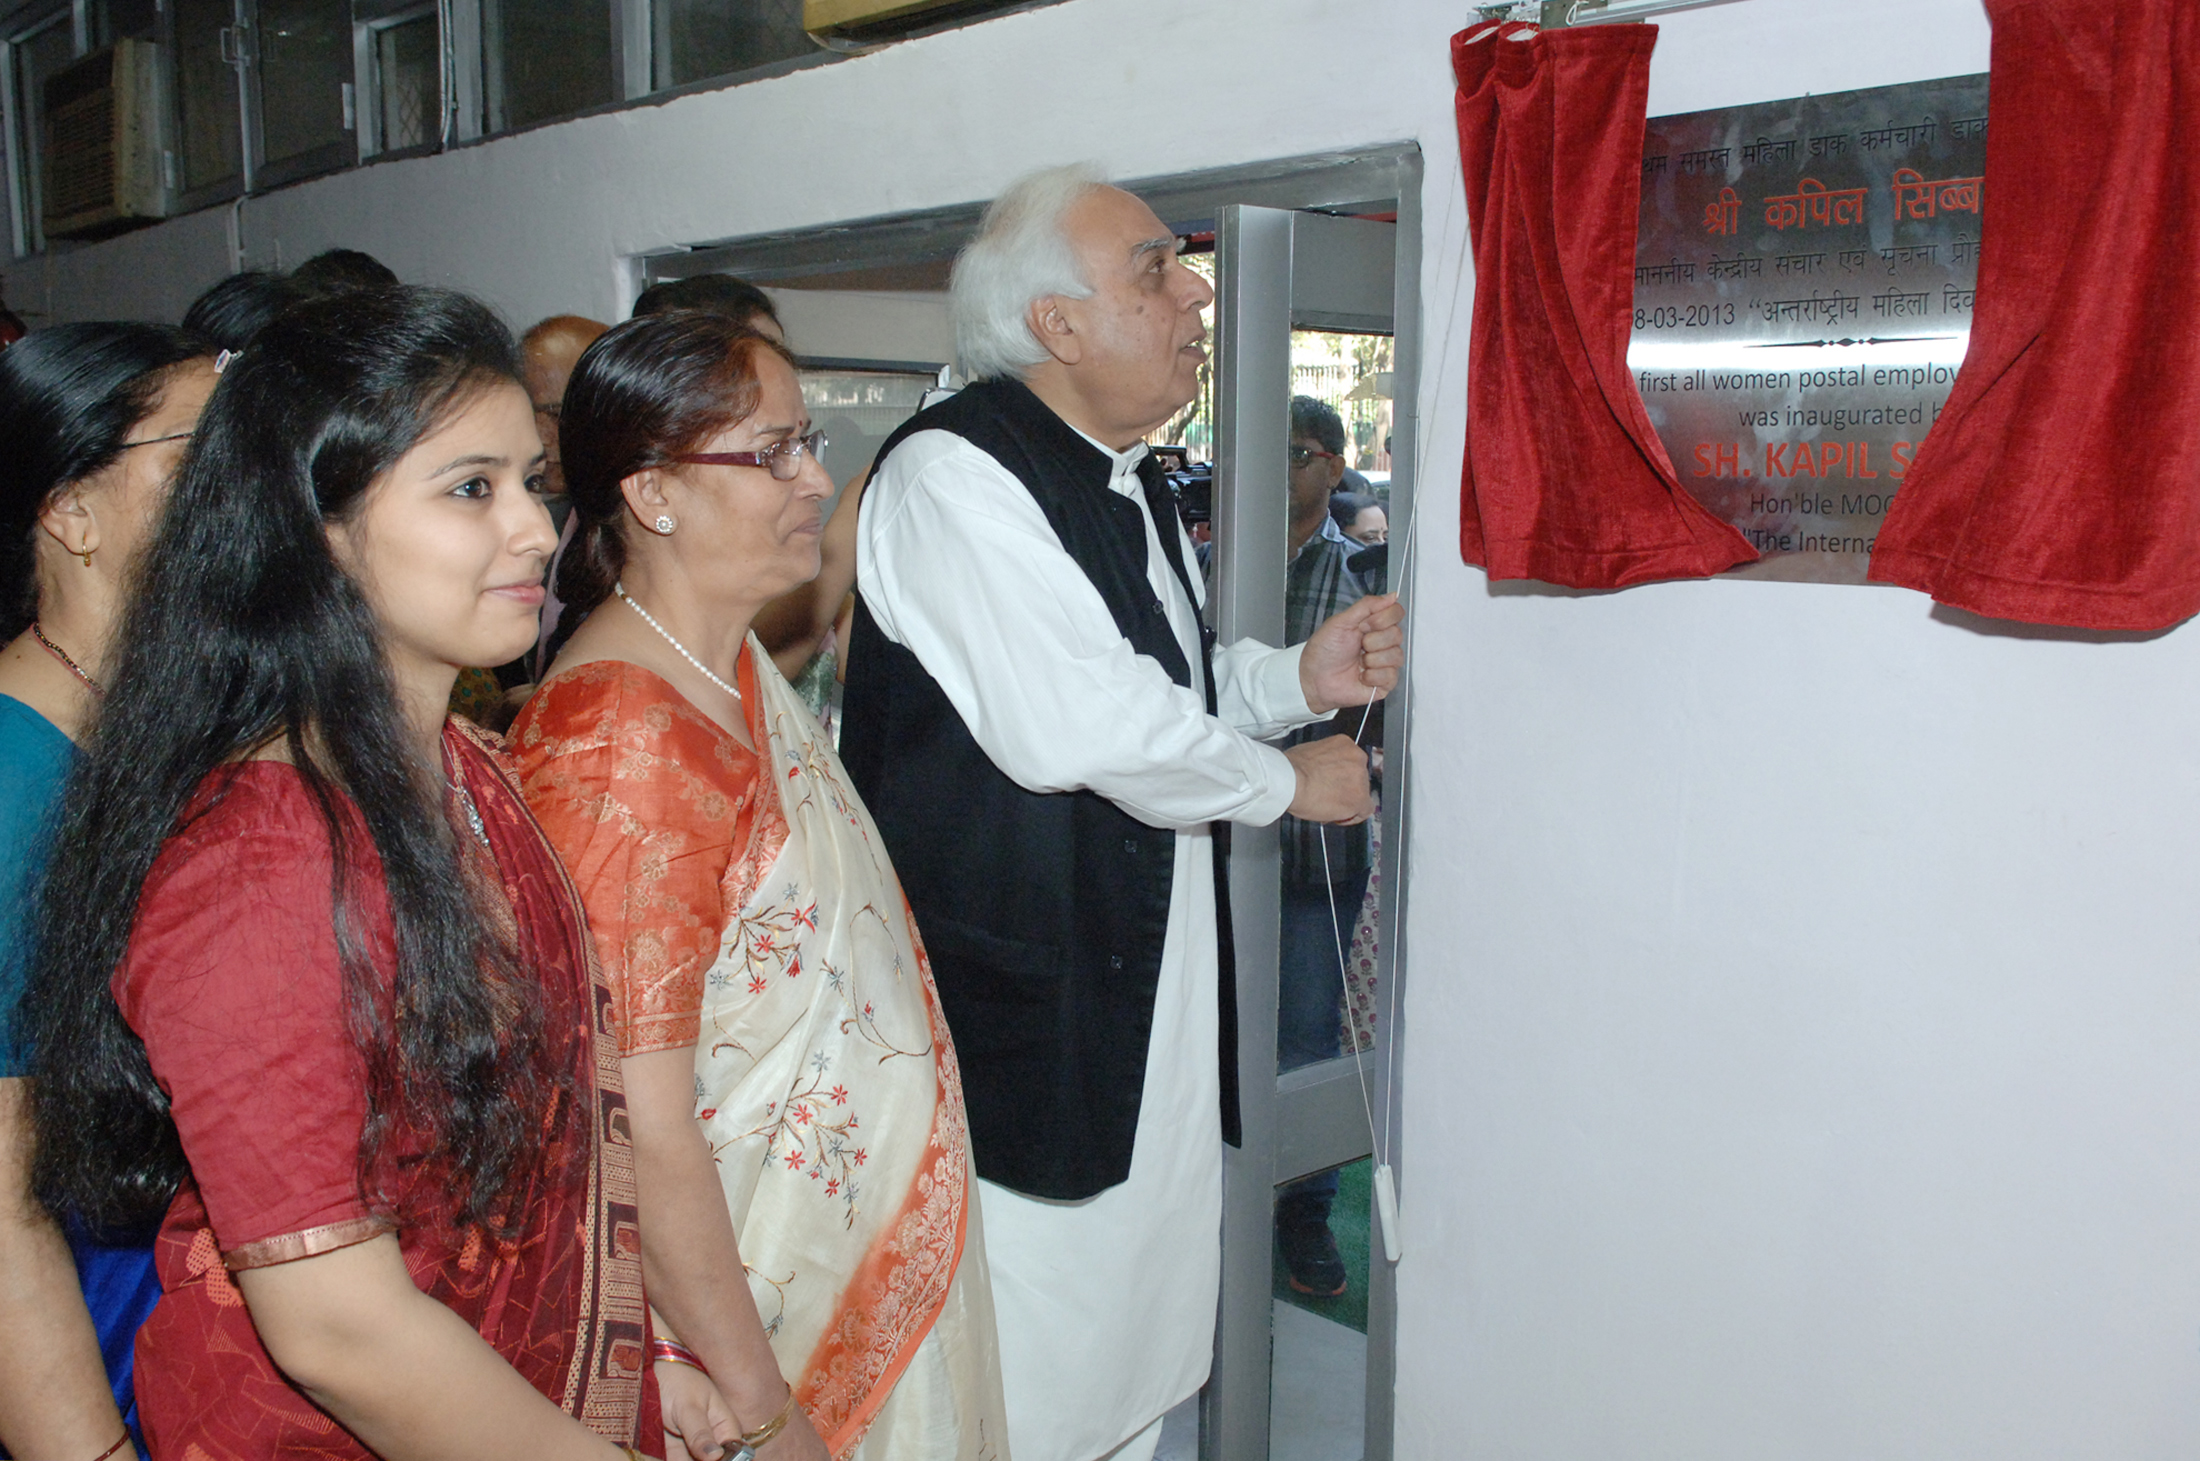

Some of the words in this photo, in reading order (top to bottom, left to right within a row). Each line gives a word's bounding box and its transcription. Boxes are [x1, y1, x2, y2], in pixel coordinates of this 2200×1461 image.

[1675, 143, 1734, 179] समस्त
[1737, 130, 1800, 169] महिला
[1803, 129, 1851, 166] डाक
[1859, 111, 1939, 155] कर्मचारी
[1946, 113, 1993, 148] डाक
[1697, 177, 1745, 242] श्री
[1756, 173, 1872, 236] कपिल
[1888, 159, 1990, 230] सिब्ब
[1629, 247, 1699, 291] माननीय
[1703, 246, 1768, 284] केन्द्रीय
[1771, 241, 1827, 283] संचार
[1835, 237, 1869, 275] एवं
[1880, 240, 1940, 283] सूचना
[1941, 224, 1986, 268] प्रौद्य
[1630, 297, 1740, 334] 8-03-2013
[1759, 280, 1863, 329] अन्तर्राष्ट्रीय
[1871, 277, 1932, 321] महिला
[1937, 273, 1980, 317] दिव
[1632, 363, 1681, 397] first
[1679, 365, 1709, 397] all
[1711, 369, 1793, 395] women
[1795, 359, 1871, 402] postal
[1872, 358, 1966, 395] employ
[1733, 406, 1781, 430] was
[1785, 402, 1927, 438] inaugurated
[1690, 435, 1756, 483] SH.
[1761, 436, 1884, 485] KAPIL
[1746, 487, 1839, 521] Hon
[1751, 523, 1799, 555] The
[1795, 526, 1880, 555] Interna